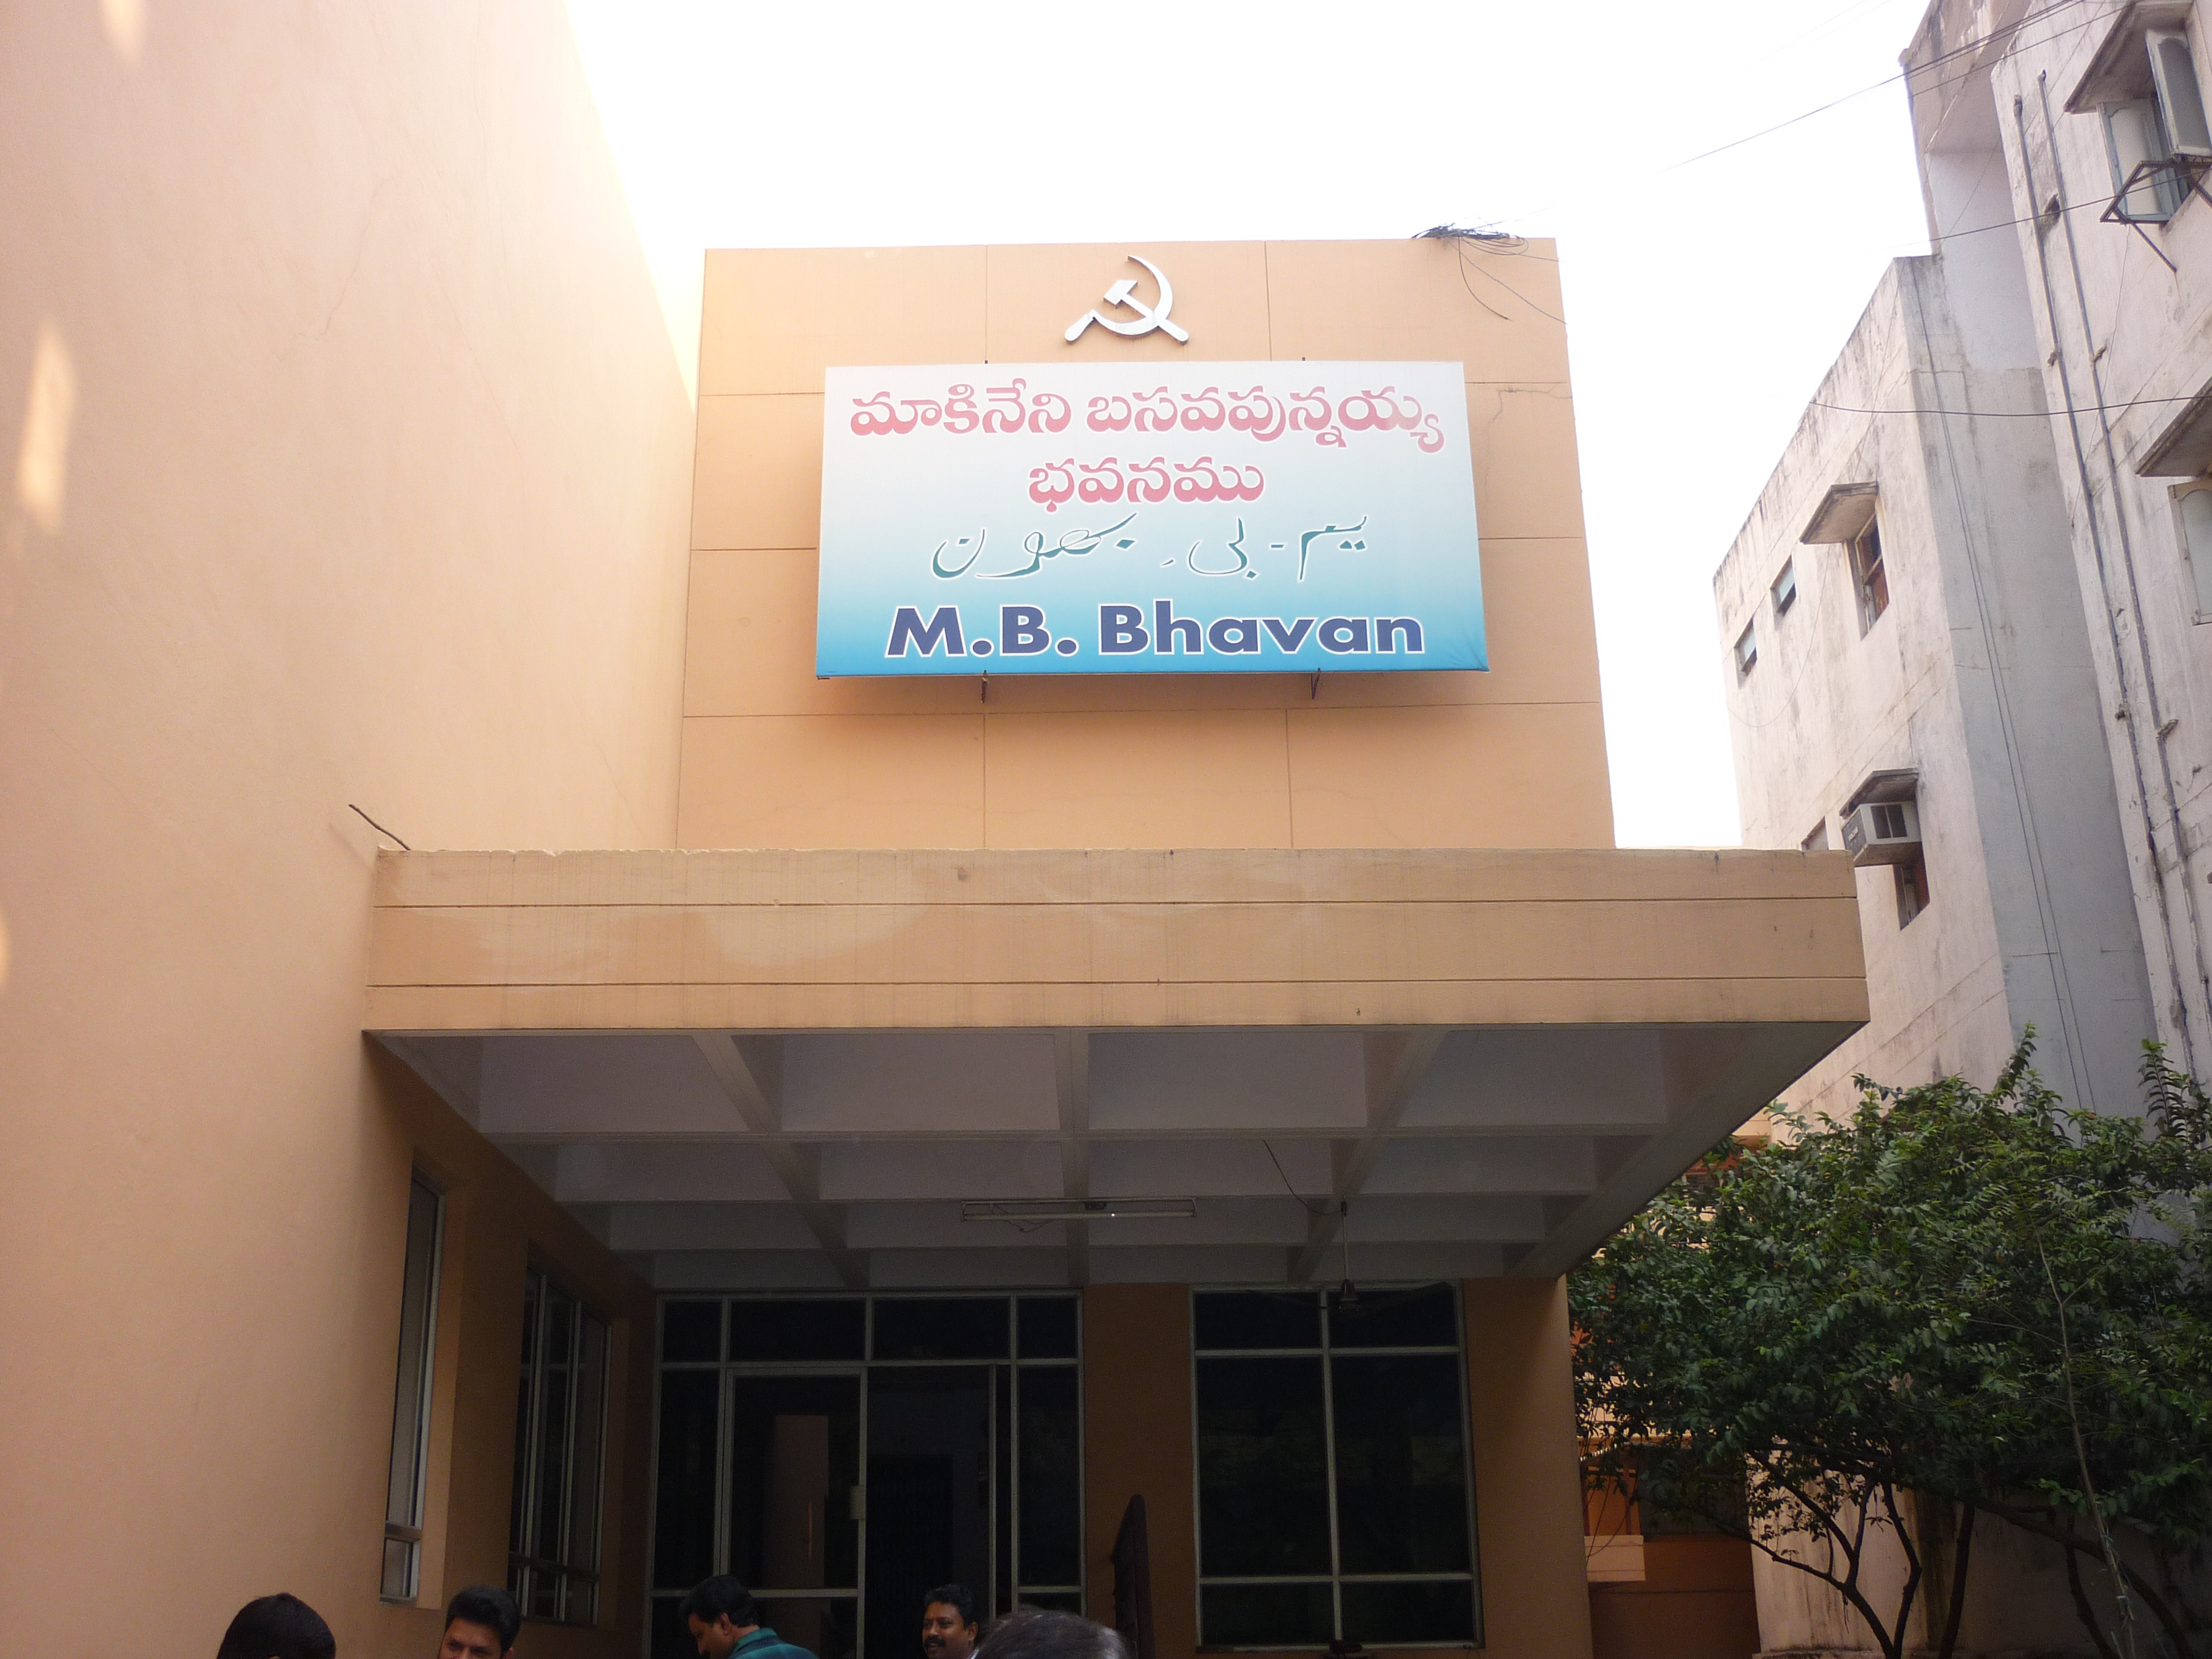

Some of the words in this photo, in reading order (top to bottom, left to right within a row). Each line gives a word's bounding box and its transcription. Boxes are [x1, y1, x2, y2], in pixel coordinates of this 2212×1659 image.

[848, 375, 1077, 439] మాకినేని
[1080, 381, 1449, 459] బసవపున్నయ్య
[1018, 453, 1268, 517] భవనము
[883, 603, 1082, 661] M.B.
[1096, 598, 1425, 658] Bhavan